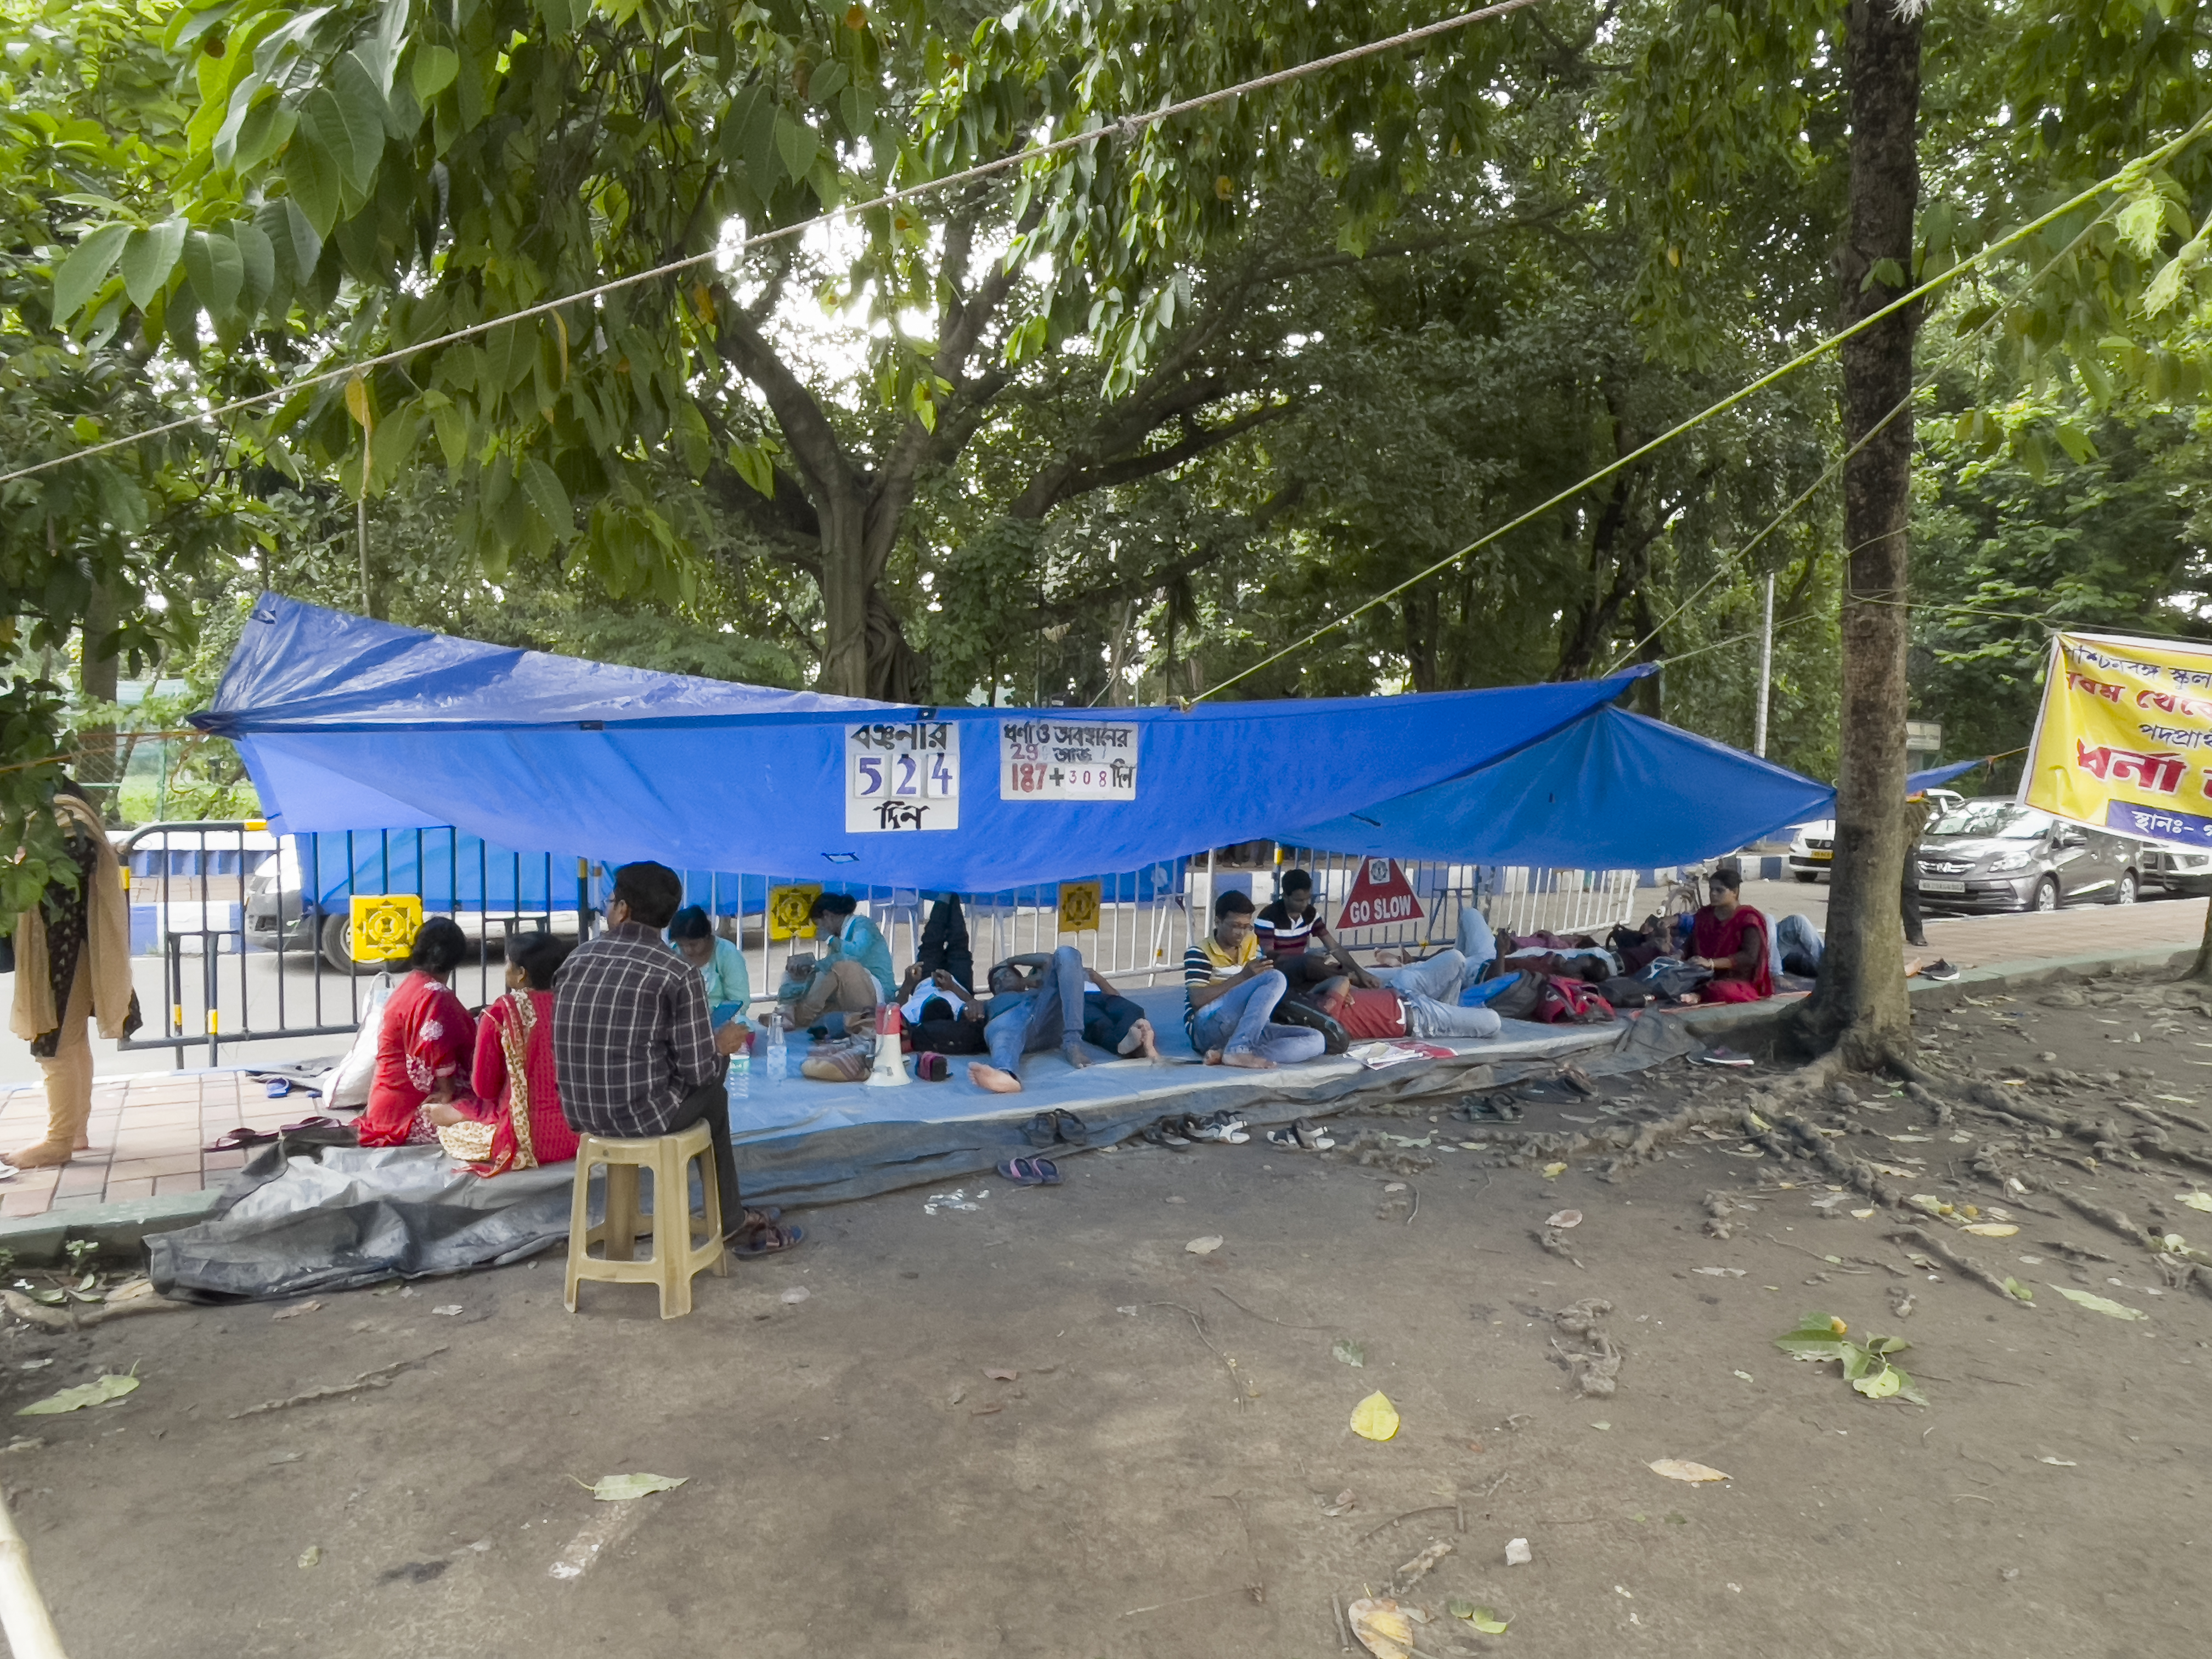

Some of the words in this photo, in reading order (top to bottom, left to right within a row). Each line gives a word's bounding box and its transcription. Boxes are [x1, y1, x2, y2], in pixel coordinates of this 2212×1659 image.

[2062, 667, 2129, 703] বম
[2059, 641, 2164, 685] পশ্চিনবঙ্গ
[2167, 665, 2211, 693] স্কুল
[850, 714, 952, 755] বঞ্ঝনার
[850, 746, 959, 805] 524
[1005, 738, 1046, 765] 29
[1001, 710, 1054, 749] ধর্ণাও
[1044, 742, 1097, 764] আজ
[1005, 749, 1140, 793] 187+308 দিন
[1048, 719, 1133, 755] অবস্থানের
[2072, 738, 2194, 798] ঘনা
[2137, 721, 2205, 751] পদপ্রা
[871, 795, 932, 834] দিন
[2129, 804, 2196, 843] স্থানঃ
[1343, 893, 1375, 927] GO
[1370, 888, 1414, 924] SLOW